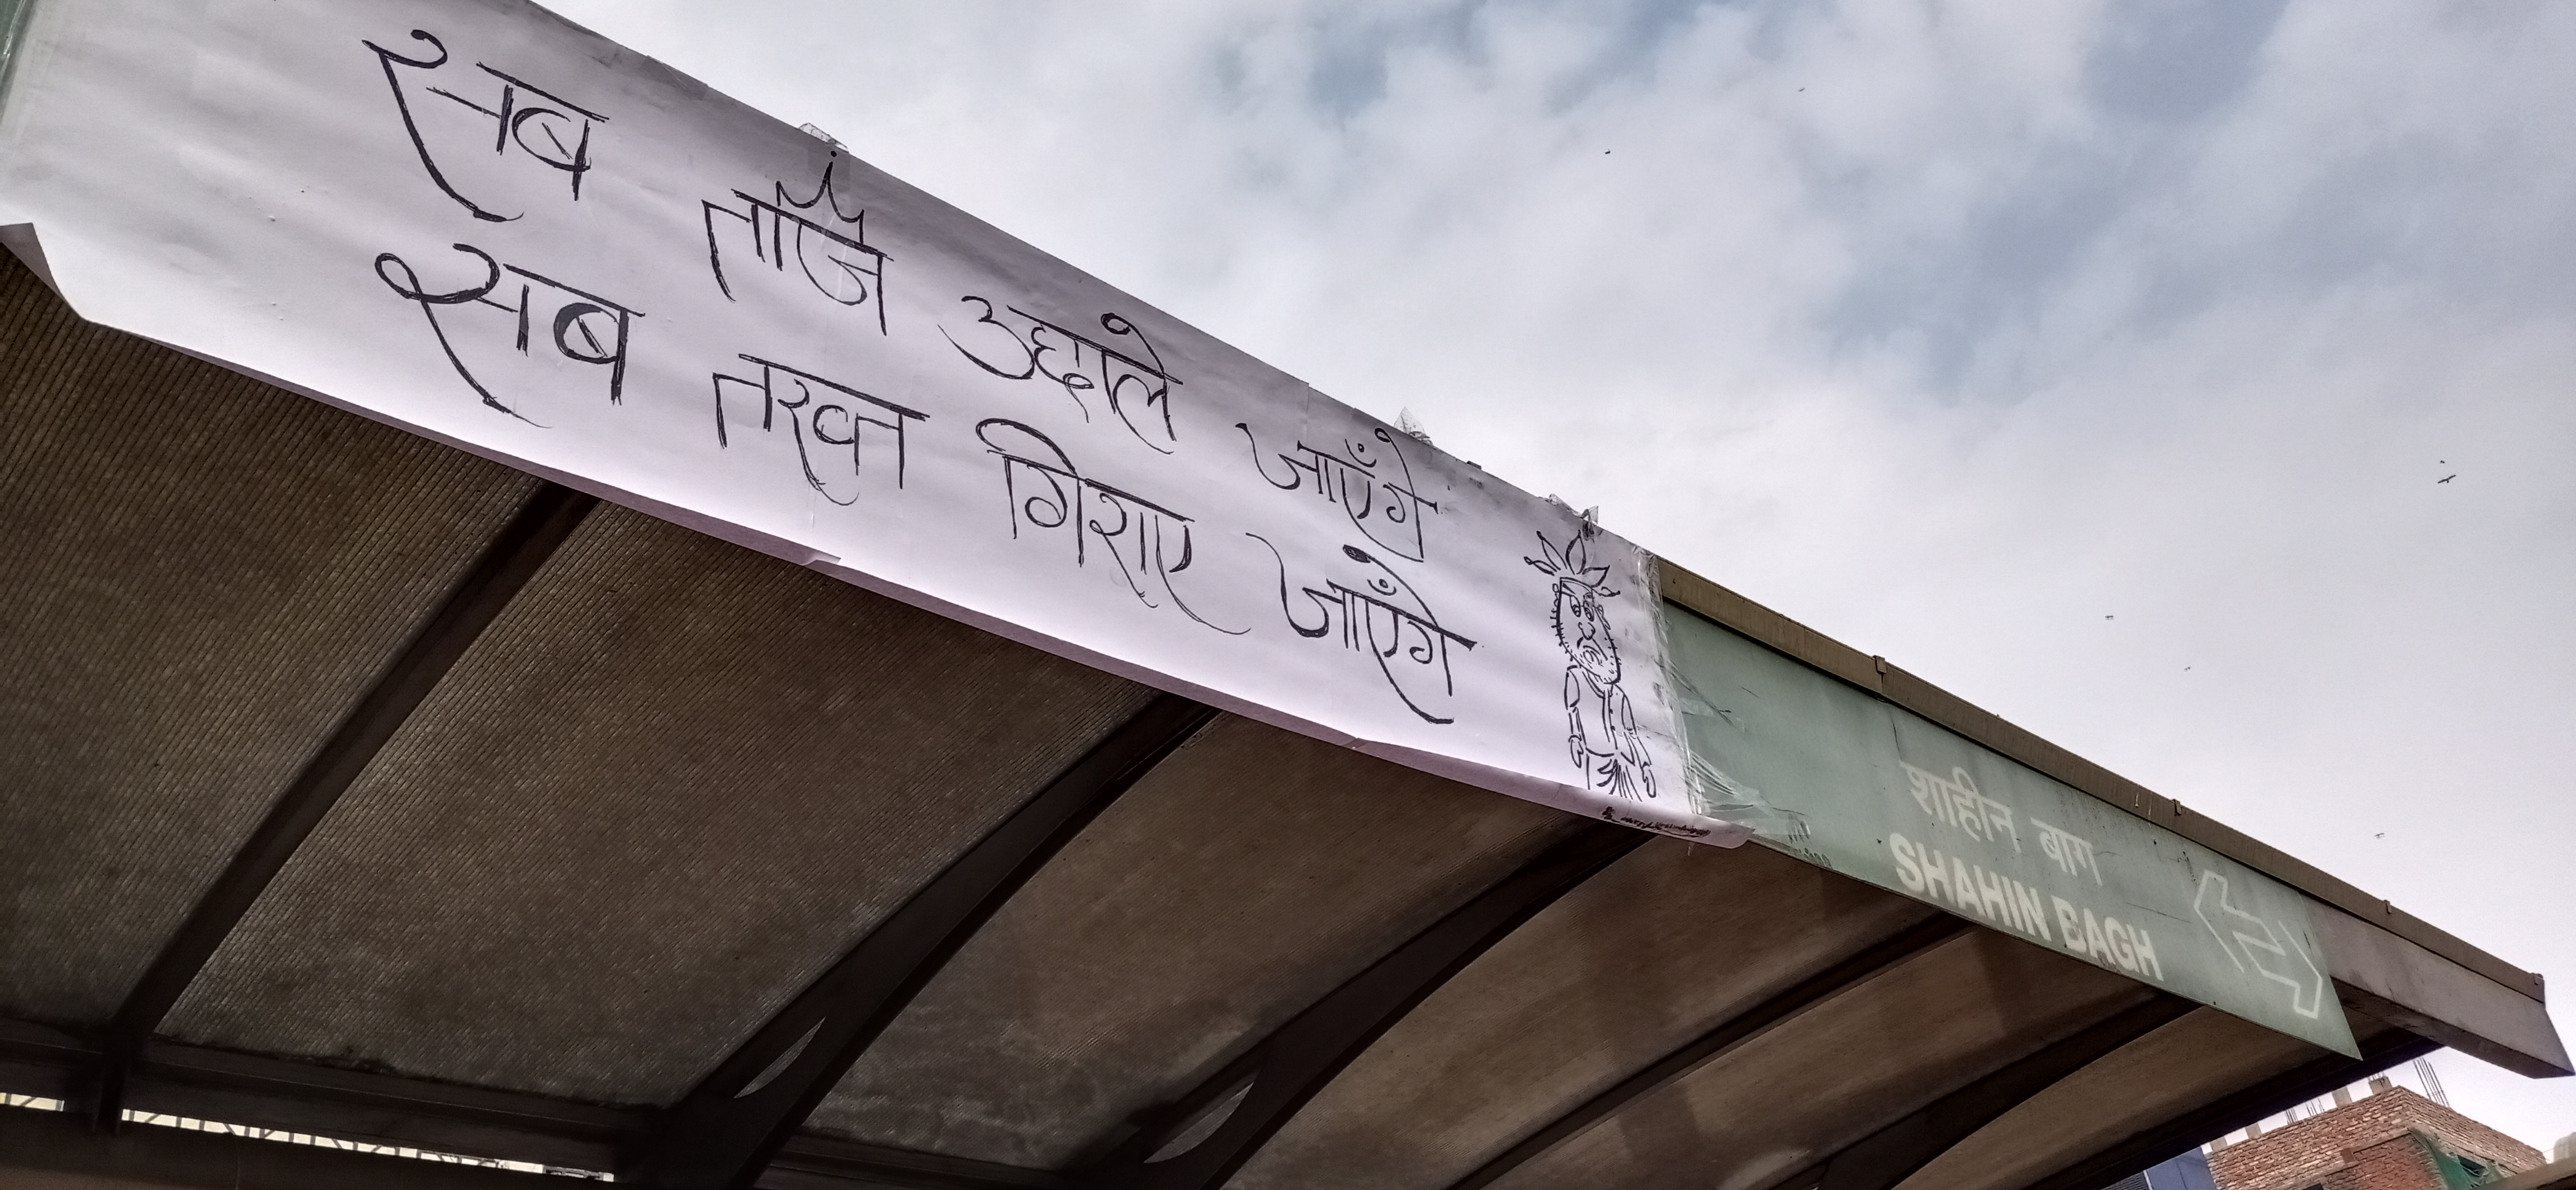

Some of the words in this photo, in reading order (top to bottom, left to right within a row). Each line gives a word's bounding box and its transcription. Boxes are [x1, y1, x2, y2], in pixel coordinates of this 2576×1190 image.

[361, 25, 614, 225] सब
[698, 148, 898, 339] तजि
[372, 241, 648, 431] सब
[711, 348, 931, 510] तख्त
[938, 295, 1186, 459] उछाले
[972, 416, 1256, 636] गिराए
[1233, 420, 1439, 565] जाएँगे
[1242, 531, 1478, 725] जाएँगे
[1897, 753, 2024, 856] शाहीन
[1883, 827, 2053, 944] SHAHIN
[2028, 813, 2105, 886] बाग
[2050, 892, 2167, 985] BAGH